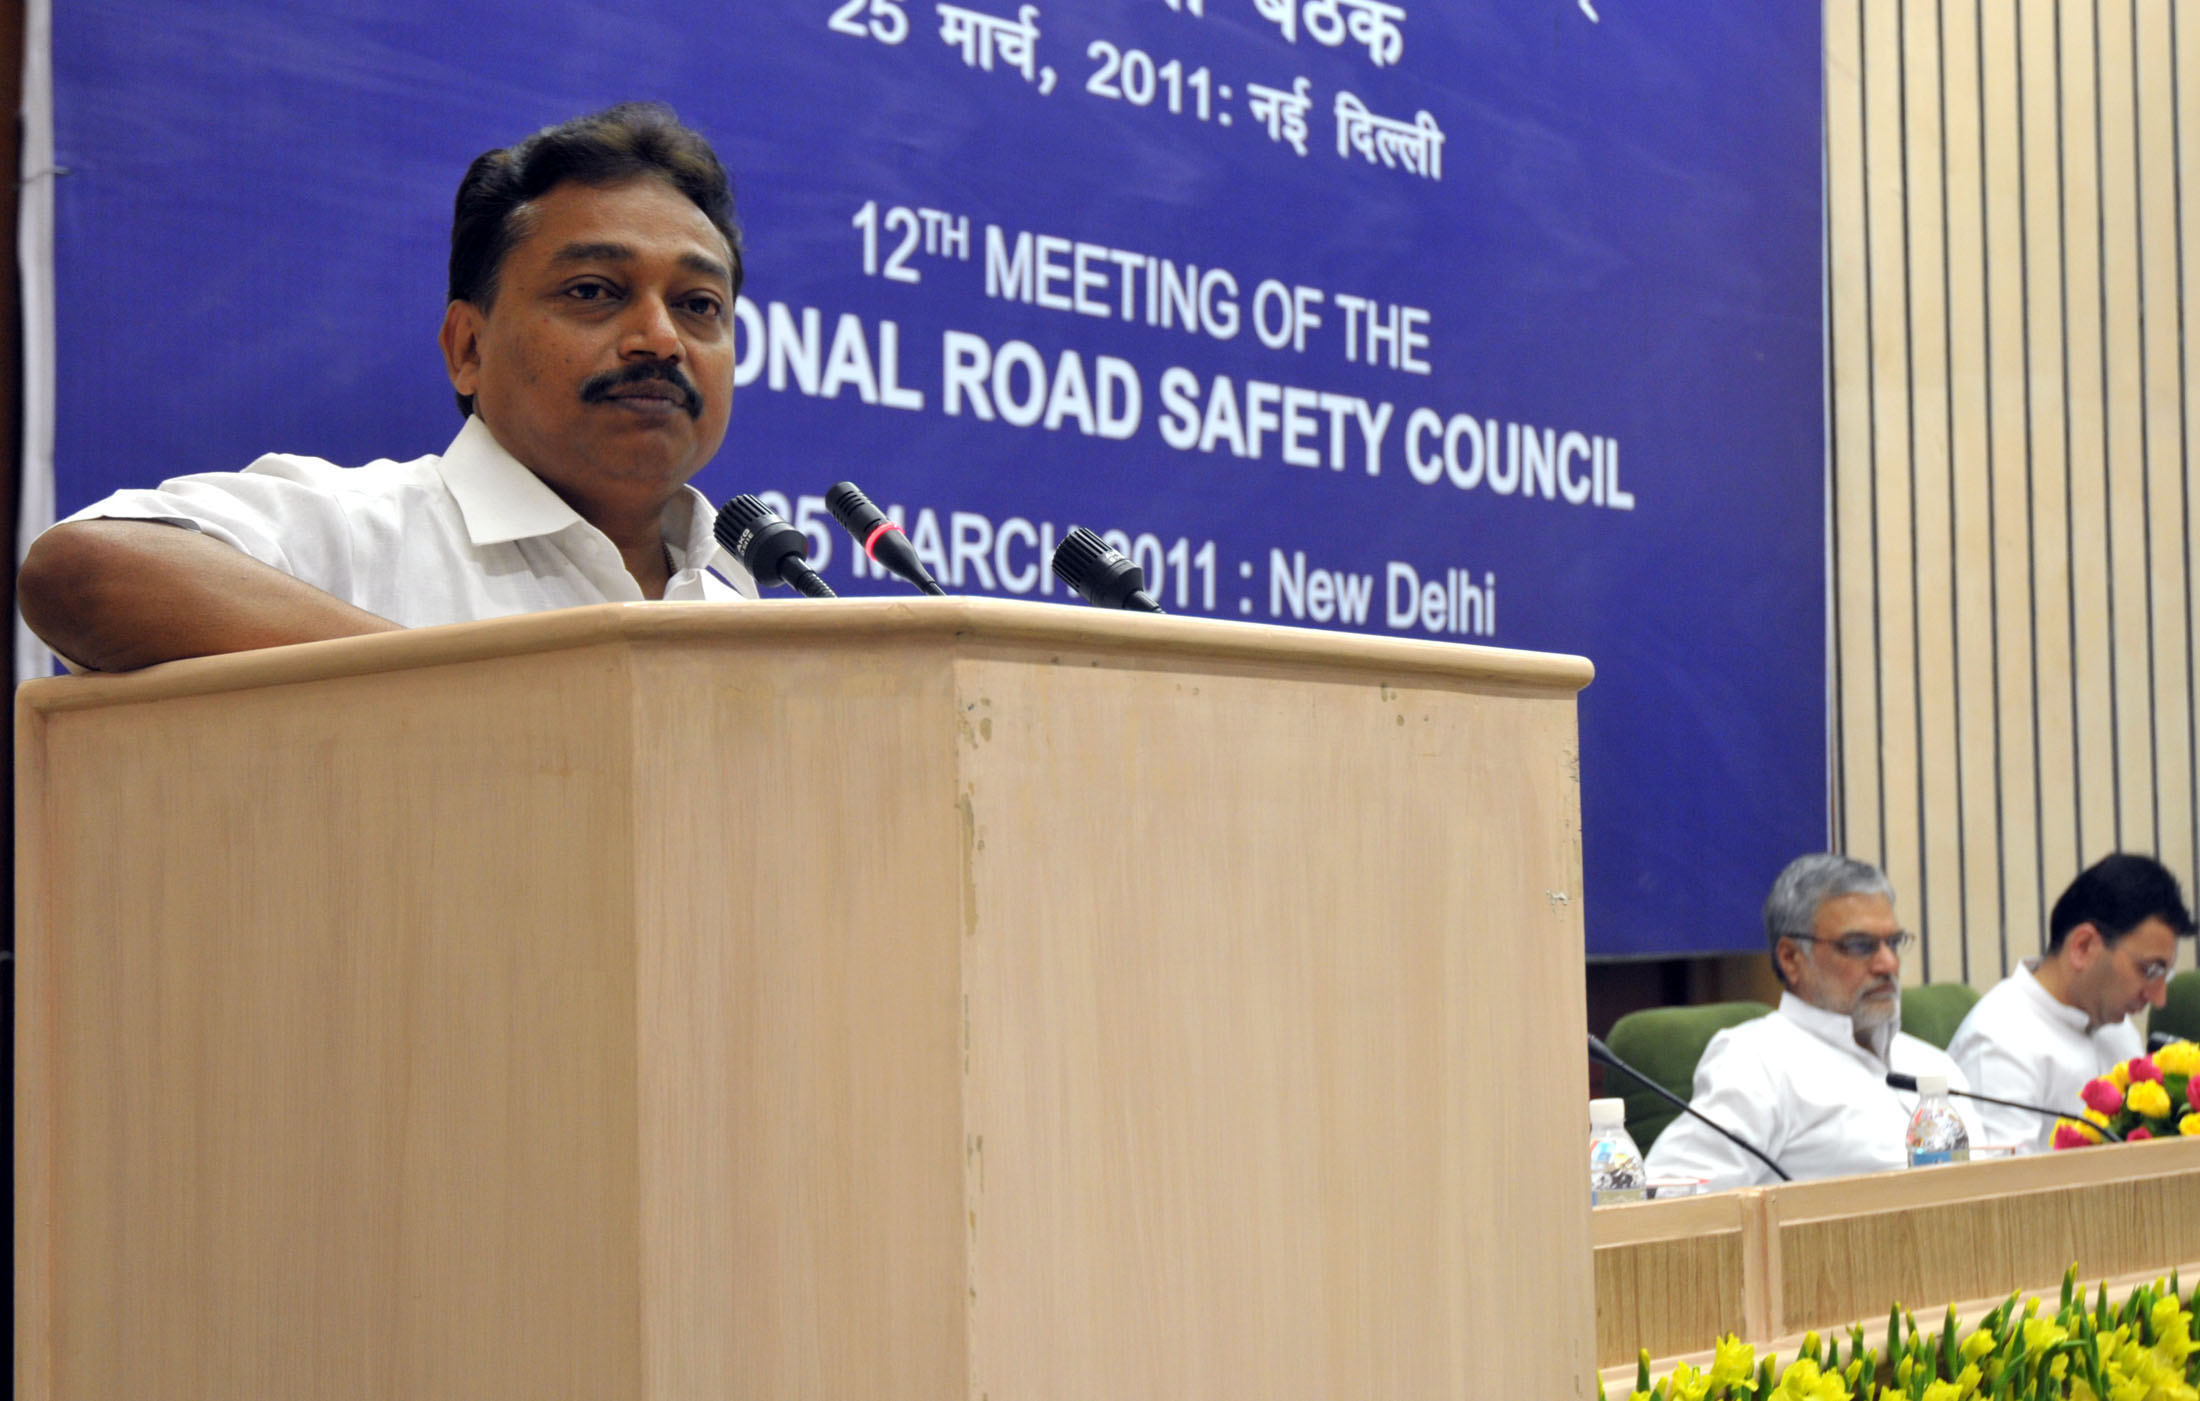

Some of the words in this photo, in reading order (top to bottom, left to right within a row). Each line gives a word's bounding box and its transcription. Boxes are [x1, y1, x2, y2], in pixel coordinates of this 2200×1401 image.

[934, 1, 1046, 89] मार्च
[1081, 36, 1224, 129] 2011
[1245, 69, 1315, 163] नई
[1325, 88, 1459, 187] दिल्ली
[723, 289, 927, 413] ONAL
[840, 190, 976, 293] 12TH
[936, 324, 1149, 440] ROAD
[979, 217, 1243, 345] MEETING
[1153, 363, 1398, 481] SAFETY
[1249, 273, 1327, 357] OF
[1327, 289, 1440, 377] ।।।
[1402, 401, 1638, 517] COUNCIL
[849, 495, 1086, 605] MARCH
[1096, 523, 1228, 619] 2011
[1254, 543, 1381, 636] New
[1381, 558, 1501, 643] Delhi